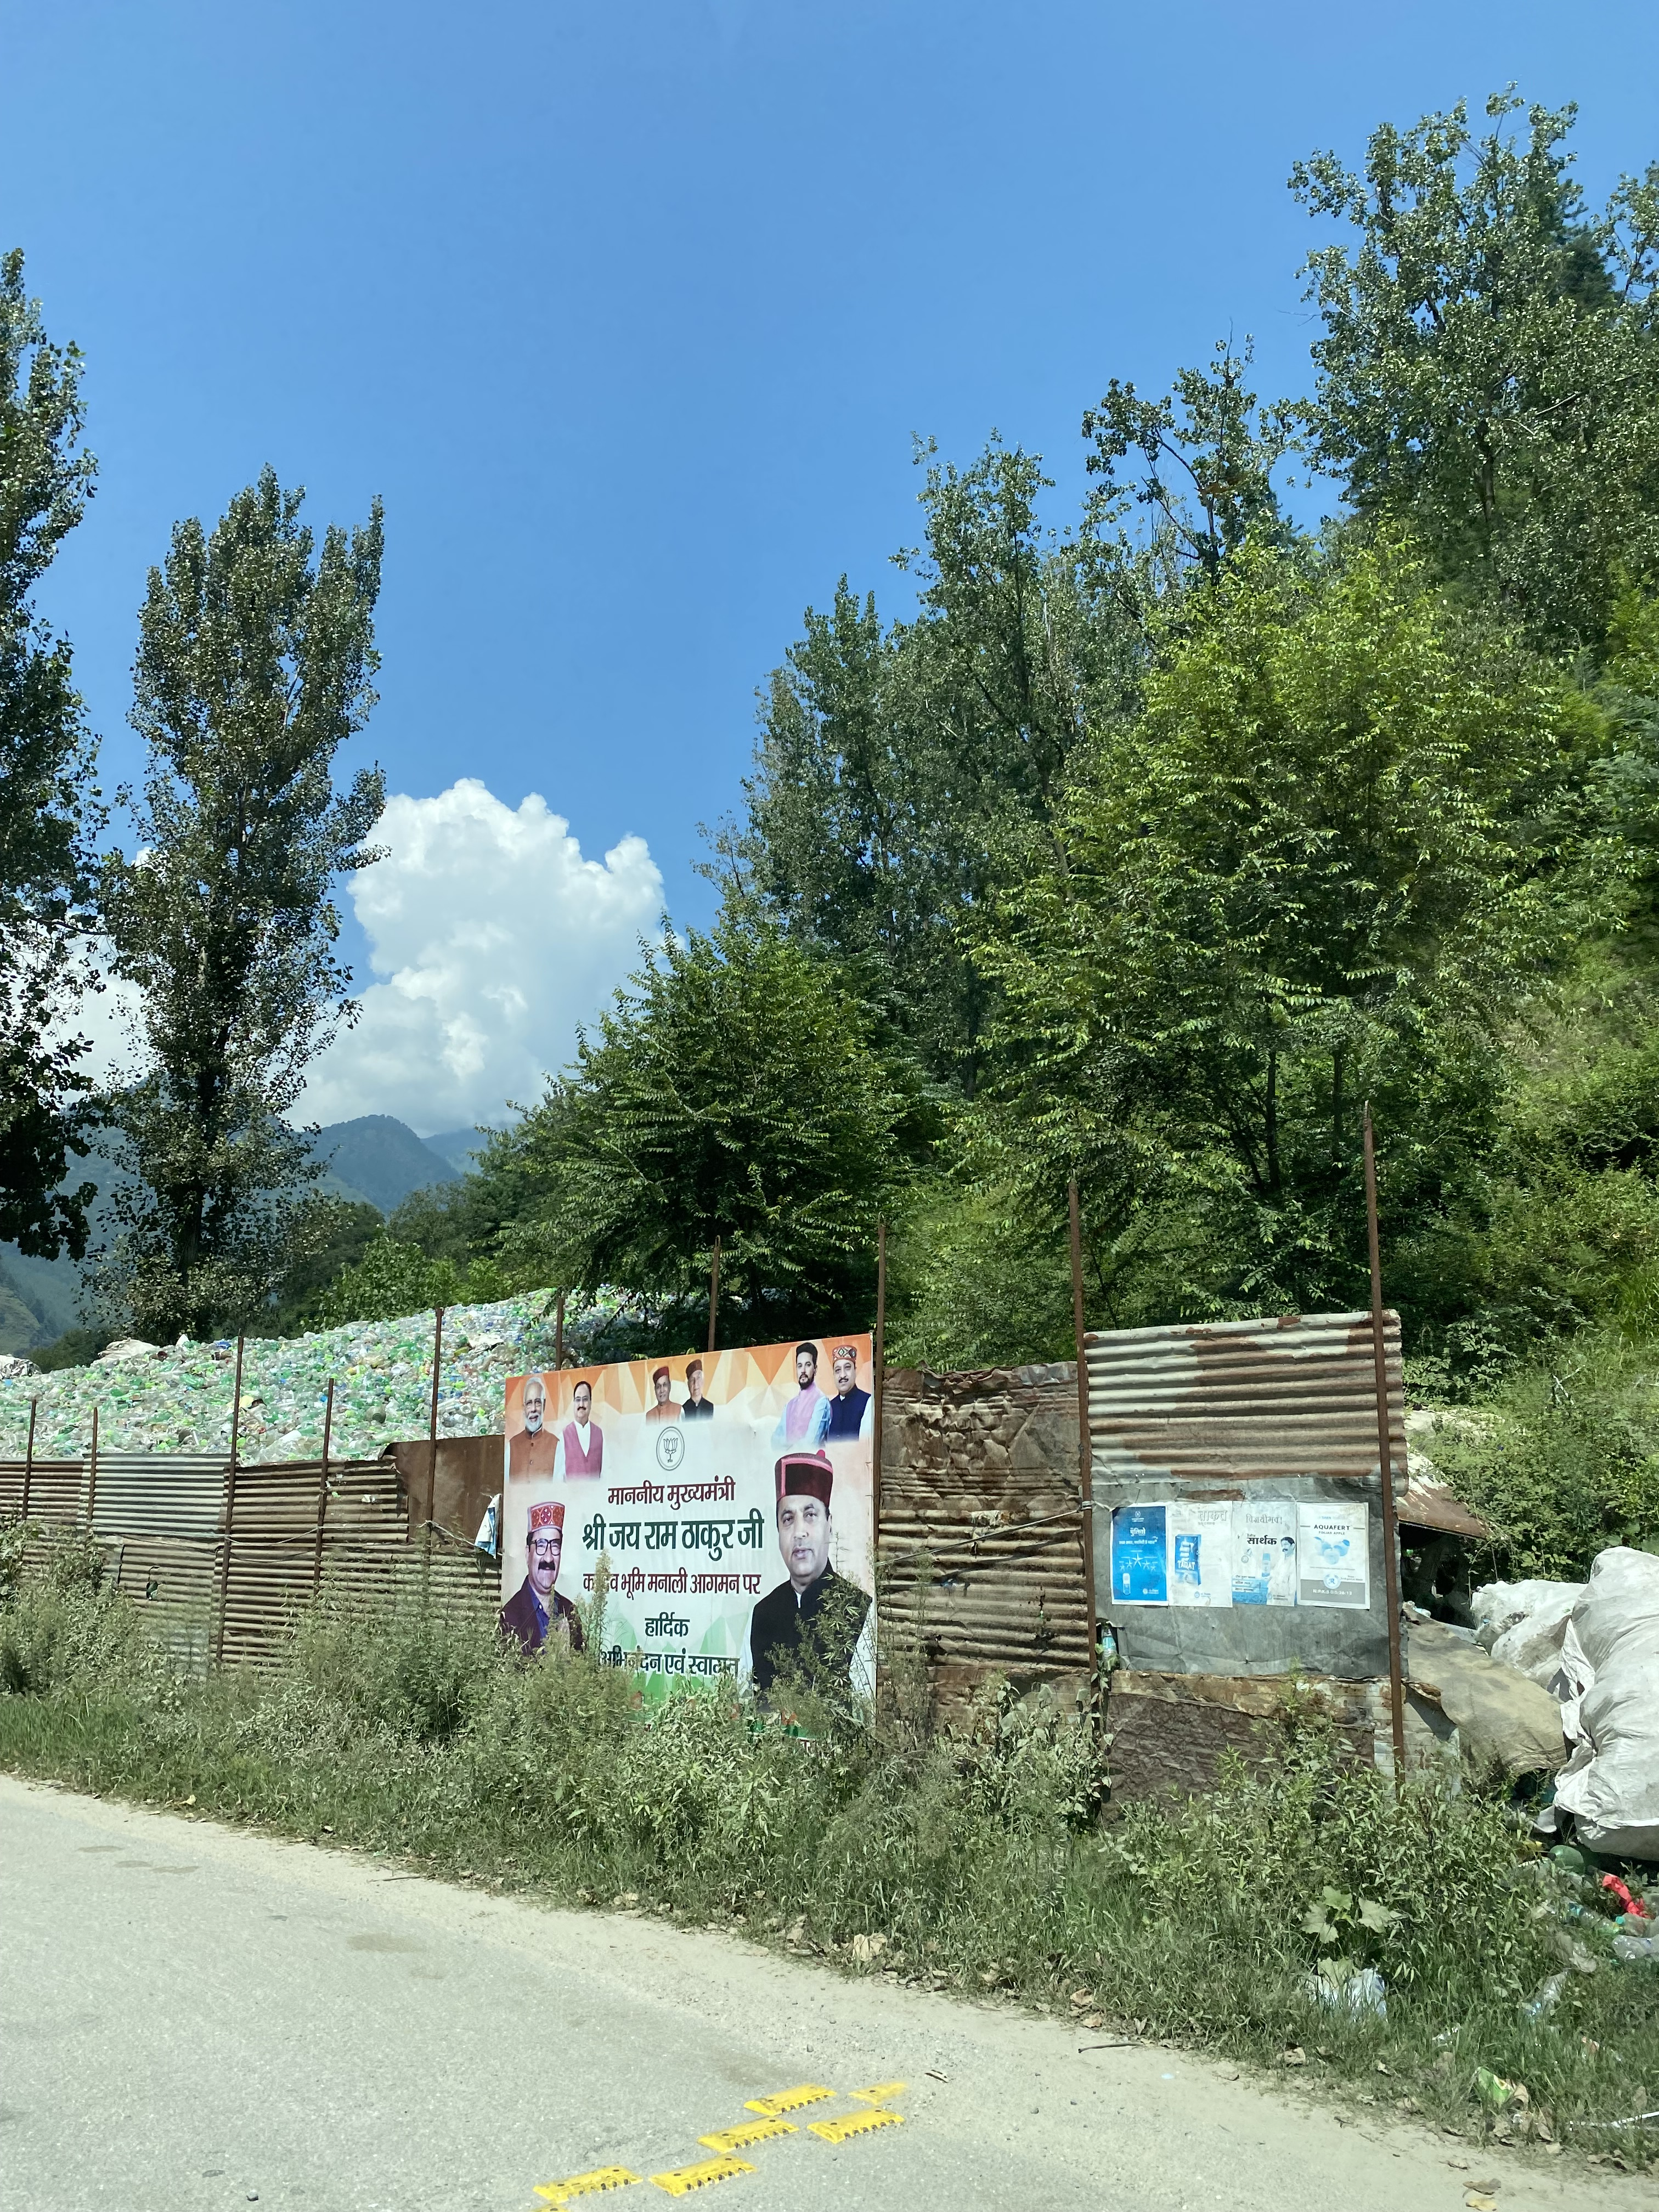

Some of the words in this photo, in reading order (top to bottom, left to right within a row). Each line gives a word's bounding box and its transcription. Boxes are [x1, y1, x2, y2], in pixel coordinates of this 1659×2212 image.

[605, 1476, 667, 1505] माननीय
[665, 1471, 739, 1514] मुख्यमंत्री
[580, 1510, 608, 1553] श्री
[606, 1520, 643, 1551] जय
[642, 1520, 682, 1553] राम
[680, 1519, 737, 1564] ठाकुर
[736, 1506, 769, 1550] जी
[580, 1571, 620, 1593] कव
[620, 1564, 648, 1604] भूमि
[645, 1563, 691, 1596] मनाली
[687, 1571, 742, 1596] आगमन
[741, 1572, 764, 1597] प‍र
[643, 1609, 692, 1640] हार्दिक
[599, 1645, 664, 1675] अभिनंदन
[662, 1649, 689, 1677] एवं
[687, 1654, 741, 1681] स्वागत